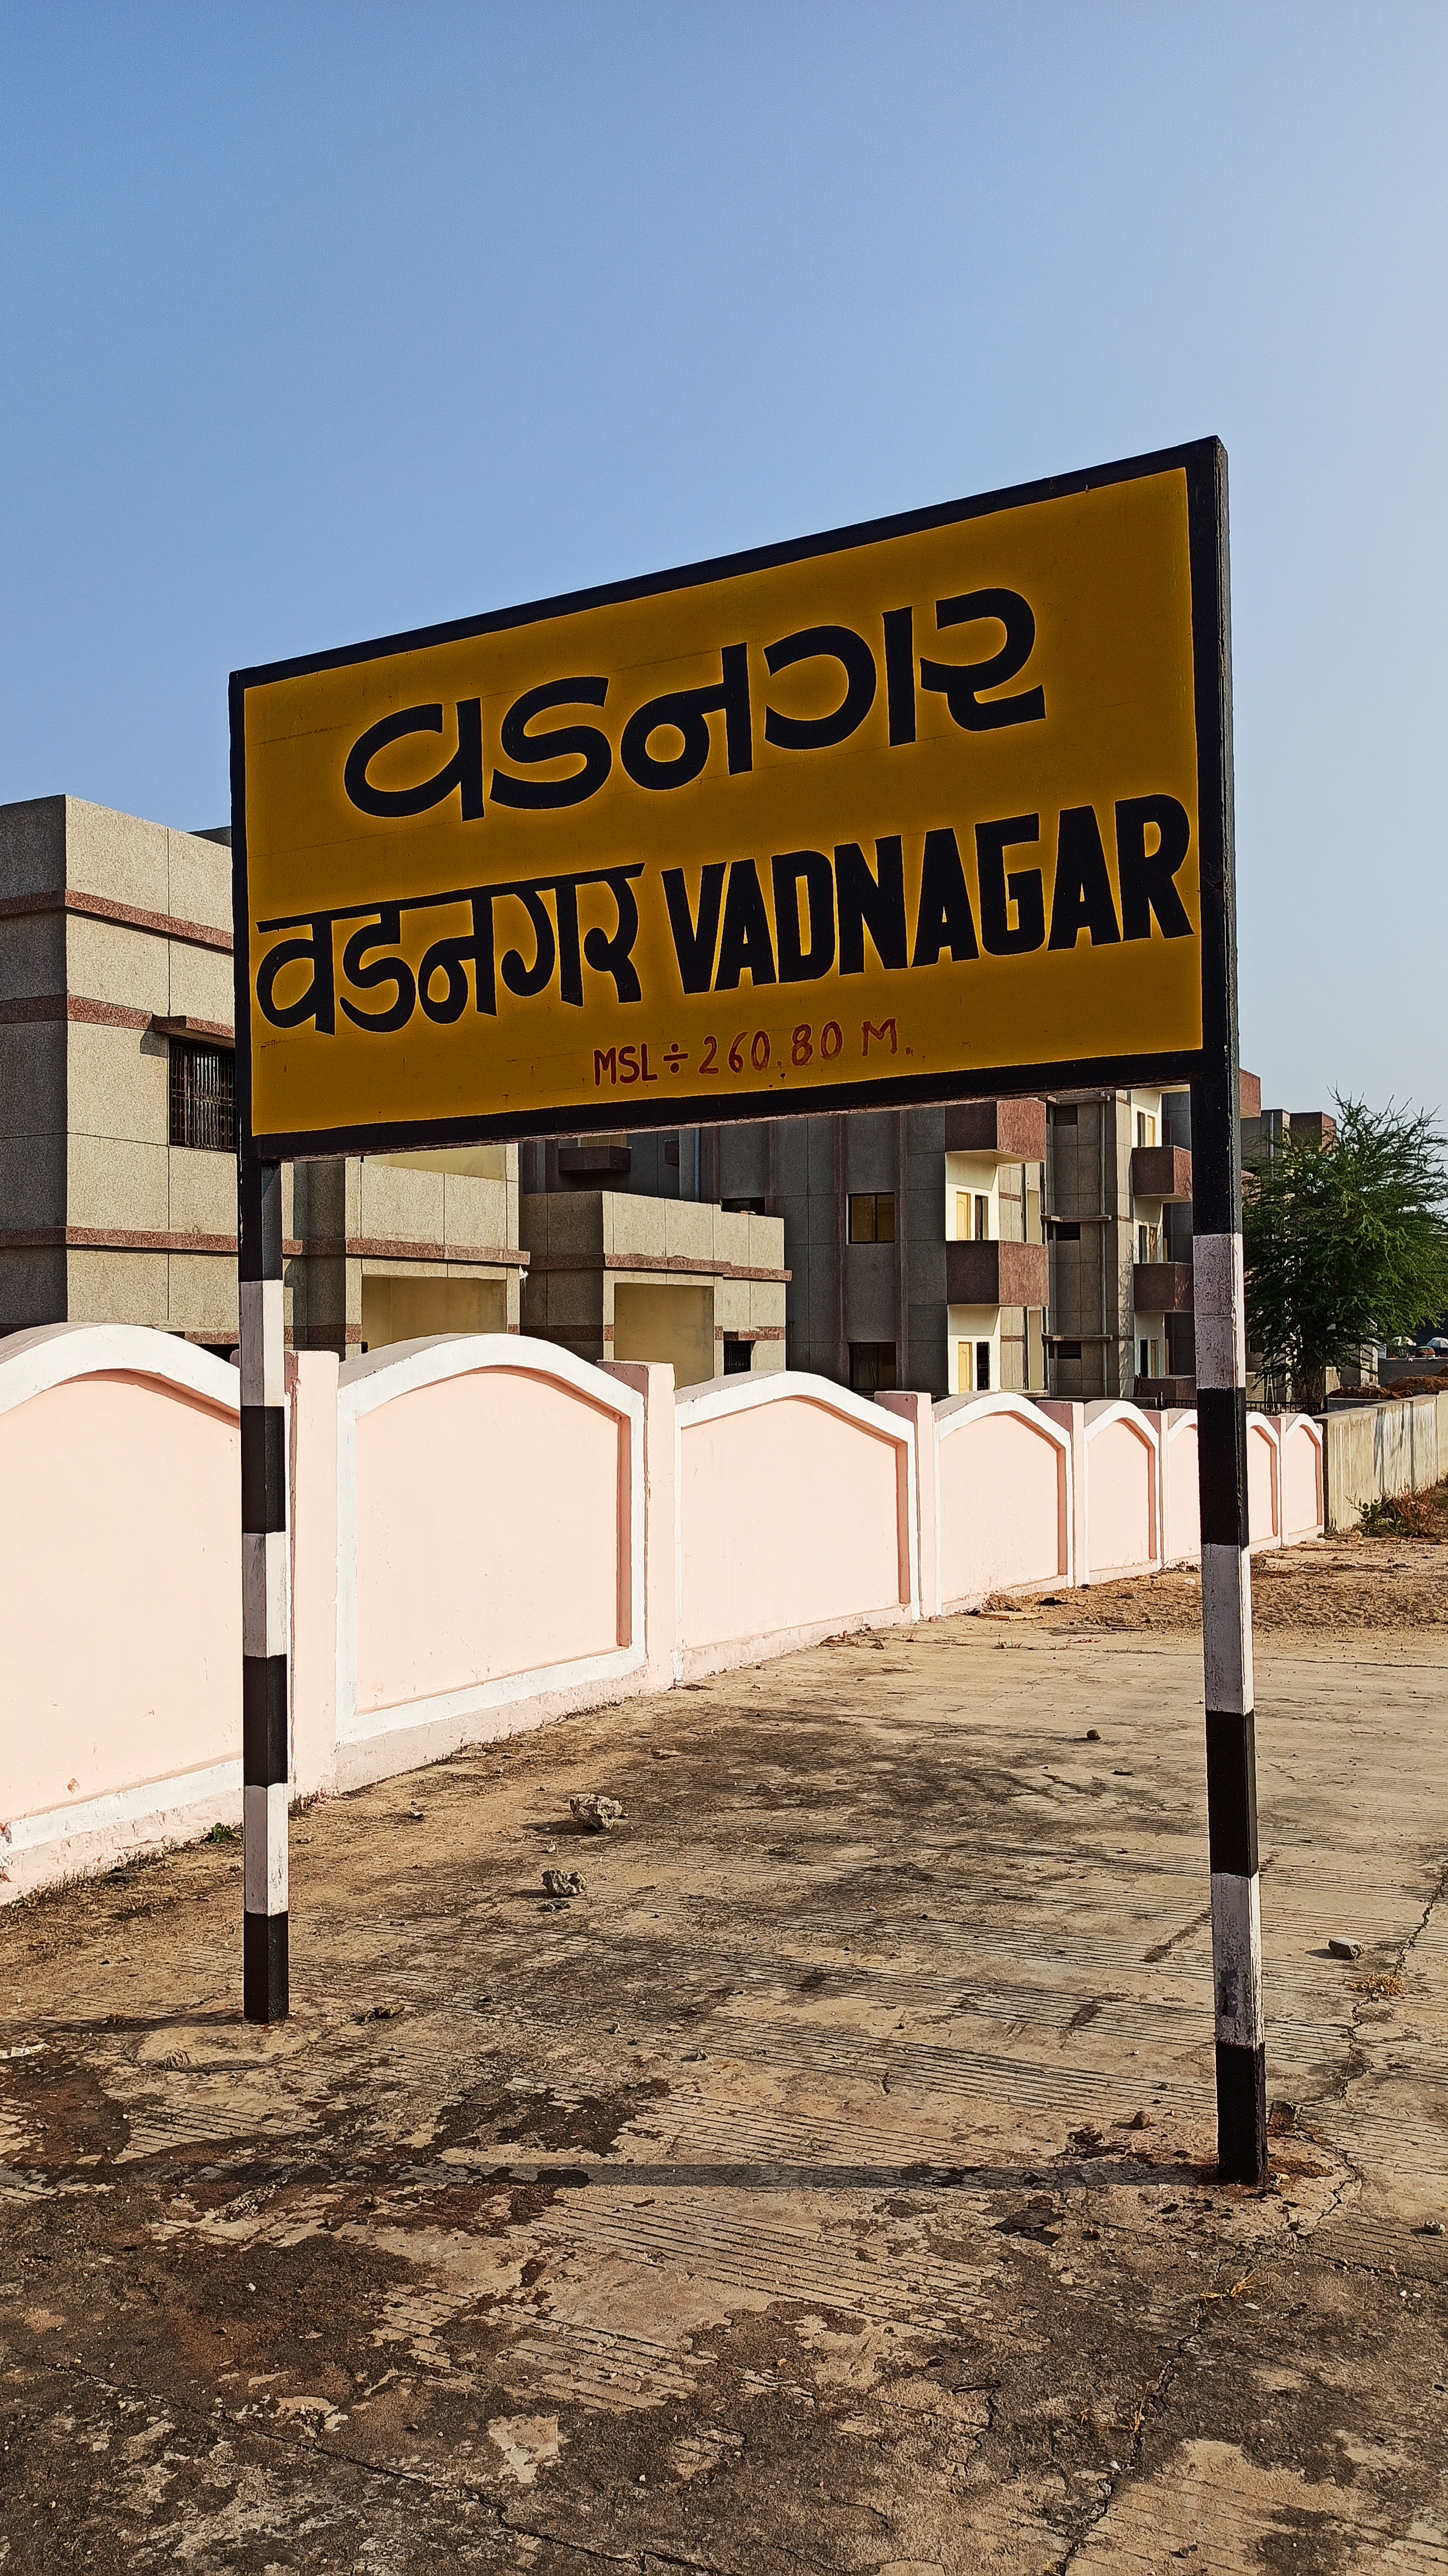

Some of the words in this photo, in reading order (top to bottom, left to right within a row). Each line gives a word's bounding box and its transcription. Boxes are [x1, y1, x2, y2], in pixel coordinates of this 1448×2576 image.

[321, 553, 1058, 848] વડનગર
[247, 849, 649, 1043] वडनगर
[586, 1033, 666, 1092] MSL
[691, 1007, 916, 1079] 260.80M.
[654, 780, 1201, 1006] VADNAGAR